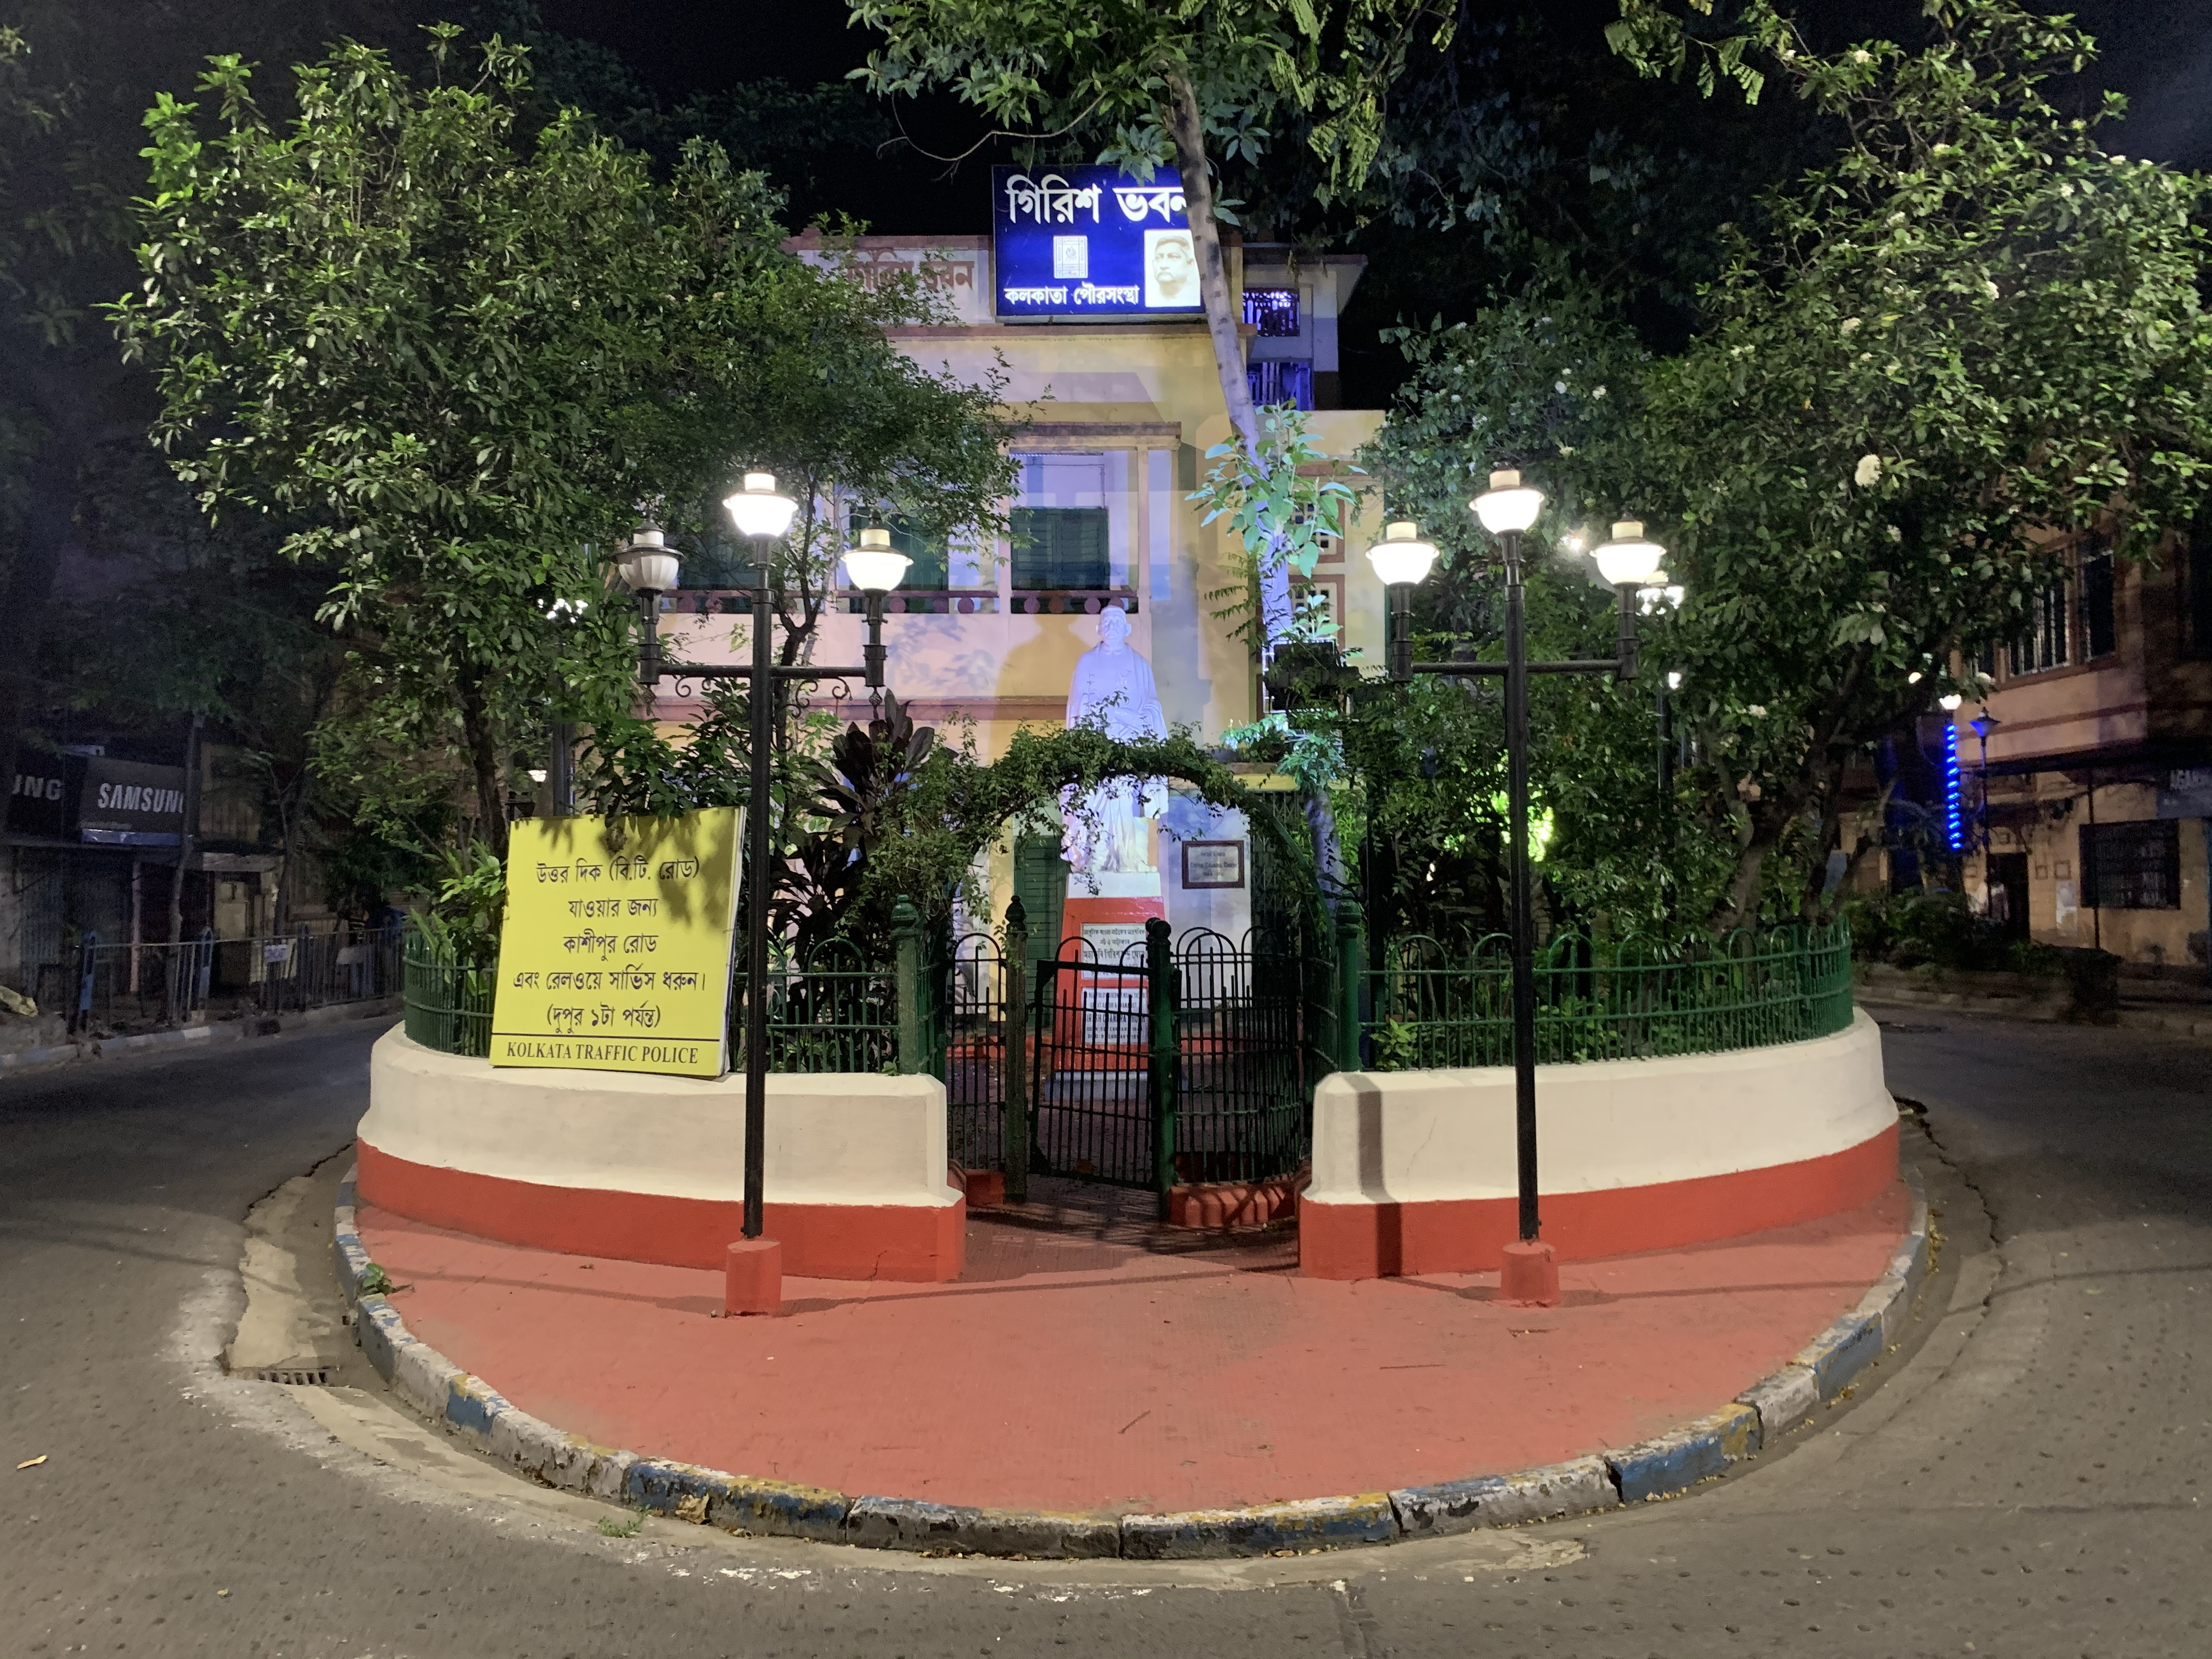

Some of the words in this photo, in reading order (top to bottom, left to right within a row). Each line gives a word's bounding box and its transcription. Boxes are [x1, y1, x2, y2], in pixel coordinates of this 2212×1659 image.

[992, 160, 1113, 230] গিরিশ
[1107, 179, 1197, 235] ভব
[999, 282, 1070, 312] কলকাতা
[1064, 270, 1145, 312] পৌরসংস্থা
[96, 781, 191, 816] SAMSUNG
[527, 857, 574, 887] উত্তর
[568, 853, 605, 885] দিক
[606, 840, 656, 886] (বি.টি.
[654, 856, 699, 887] রোড
[566, 893, 623, 923] যাওয়ার
[624, 895, 664, 919] জন্য
[562, 922, 621, 969] কাশীপুর
[620, 931, 660, 958] রোড
[511, 964, 544, 995] এবং
[543, 963, 605, 995] রেলওয়ে
[603, 959, 660, 991] সার্ভিস
[659, 966, 708, 992] ধরুন৷
[549, 1000, 588, 1037] দুপুর
[586, 996, 619, 1032] ১টা
[618, 994, 661, 1031] পর্যন্ত)
[506, 1040, 575, 1060] KOLKATA
[574, 1041, 643, 1064] TRAFFIC
[640, 1043, 703, 1066] POLICE